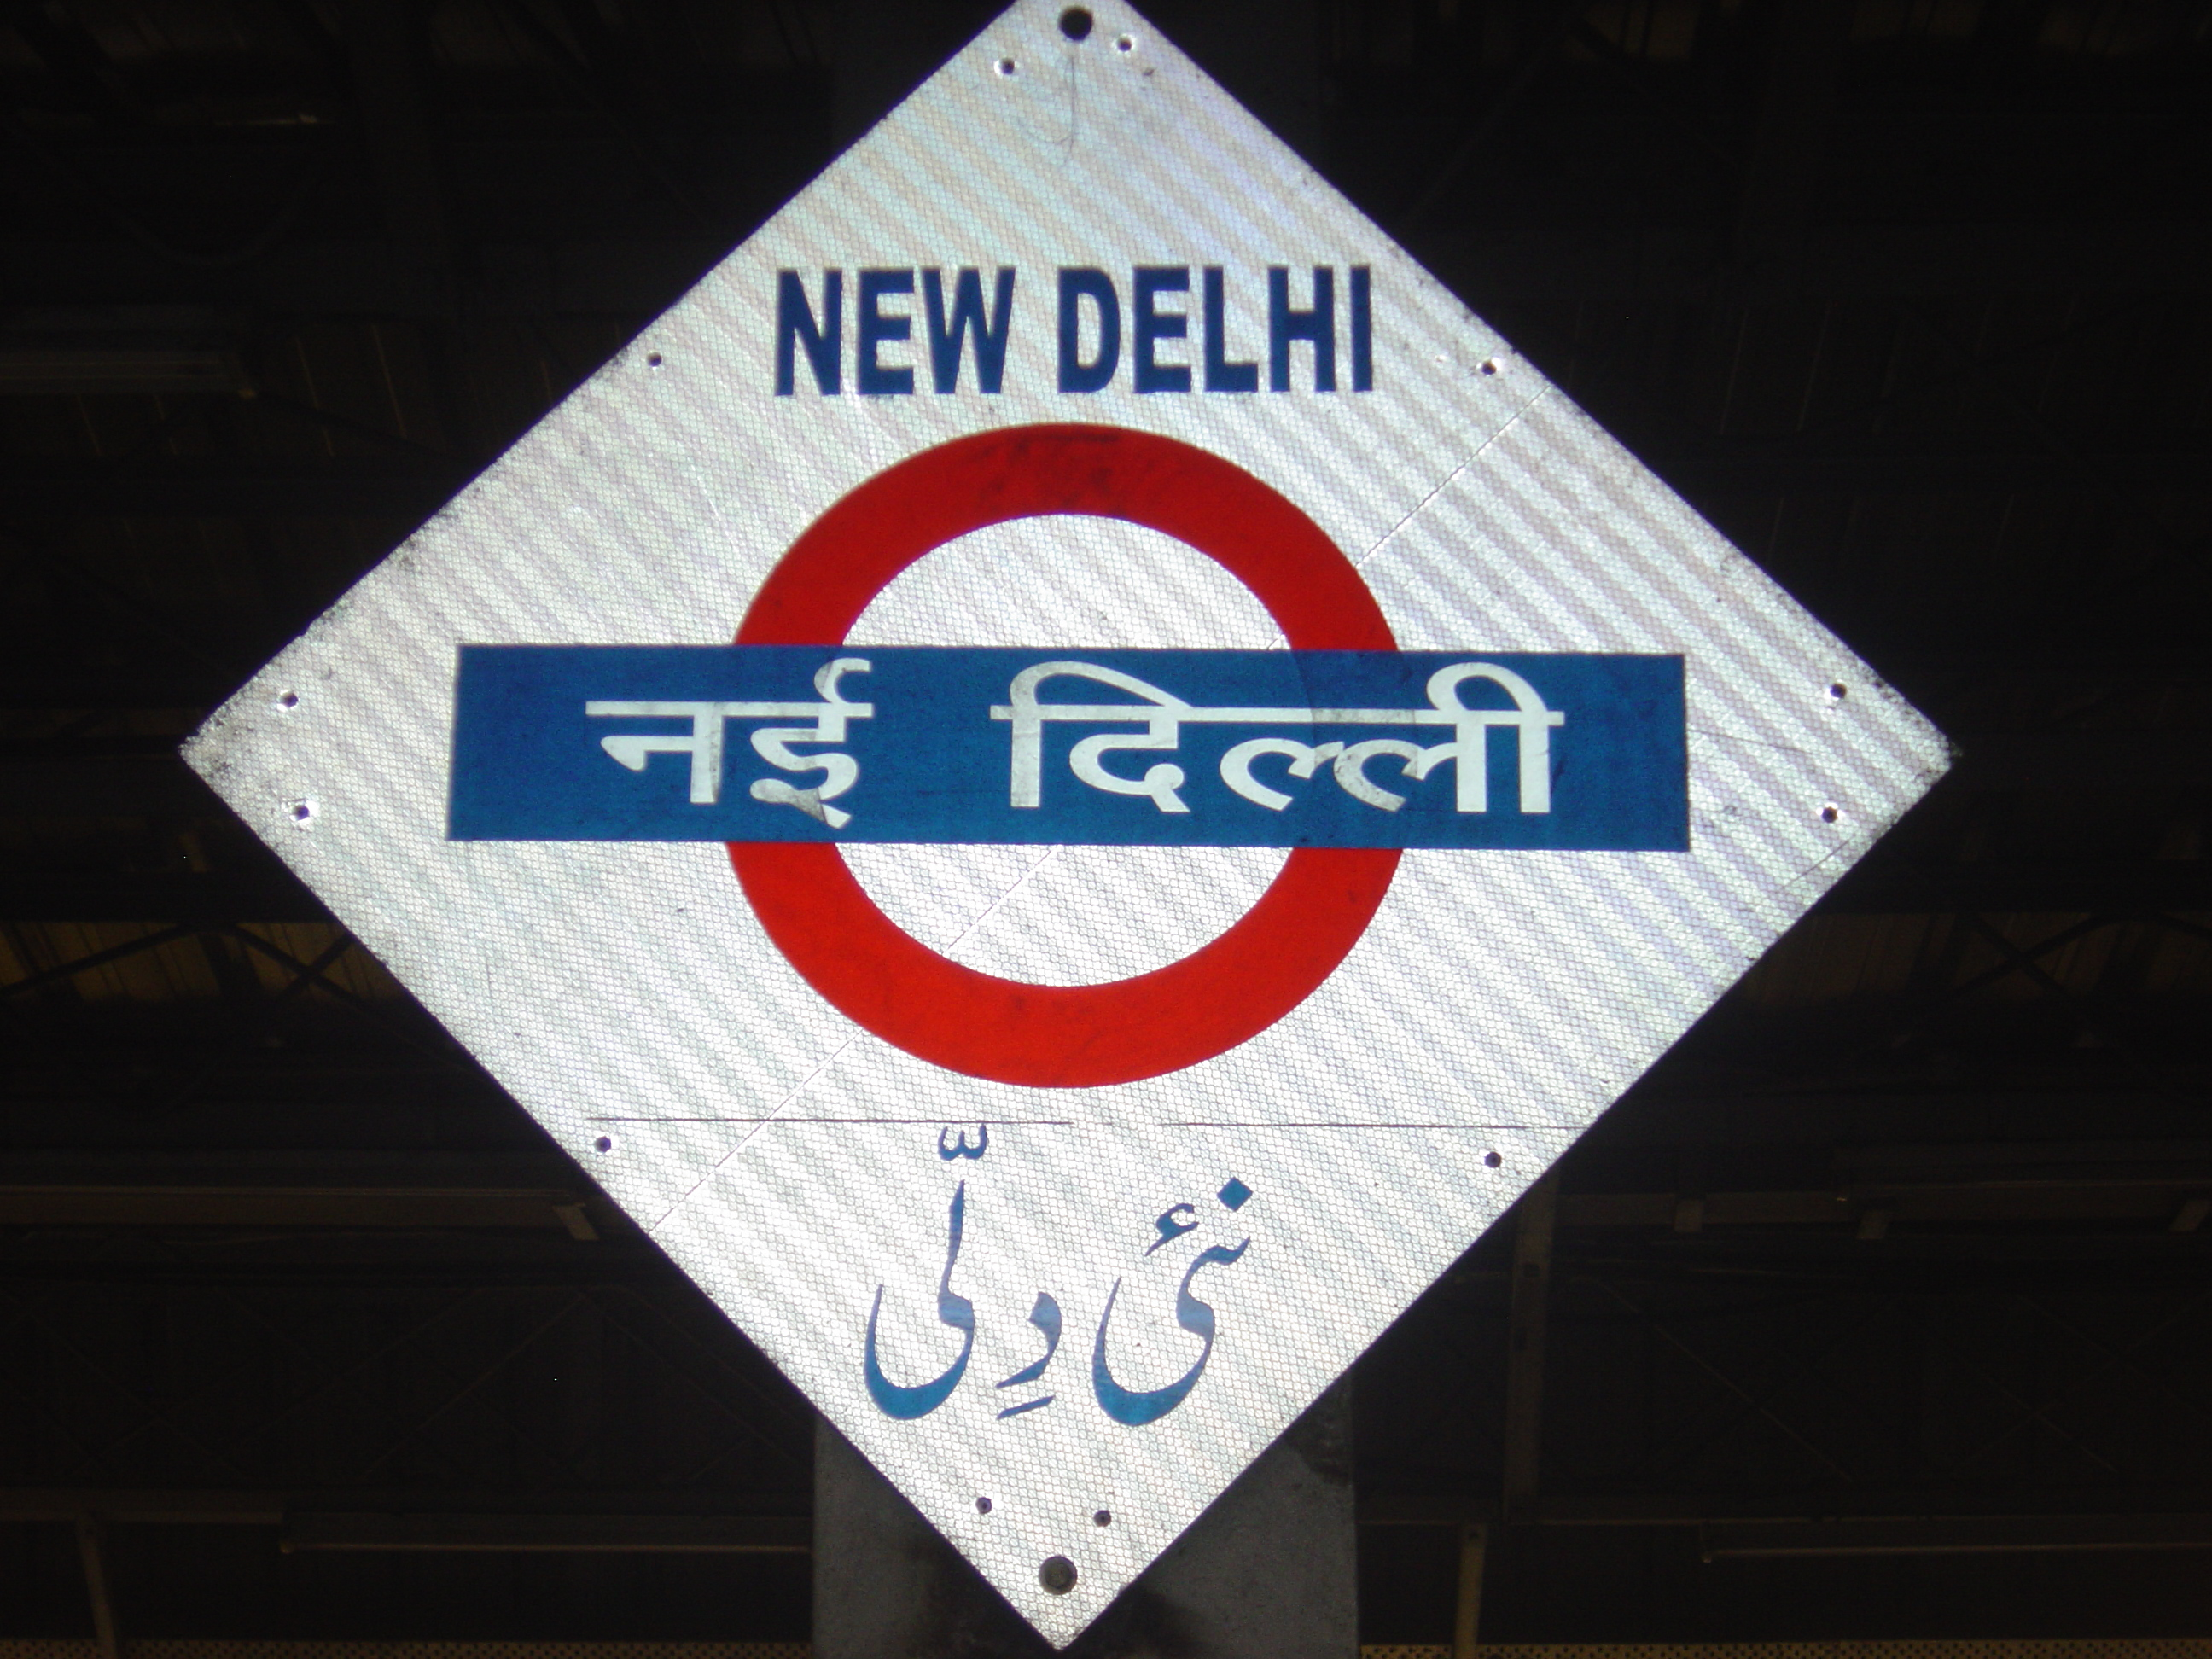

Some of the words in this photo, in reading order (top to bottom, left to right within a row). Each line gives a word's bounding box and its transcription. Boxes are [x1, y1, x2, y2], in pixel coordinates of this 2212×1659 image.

[756, 250, 1023, 410] NEW
[1041, 250, 1380, 405] DELHI
[587, 654, 874, 829] नई
[988, 659, 1565, 812] दिल्ली